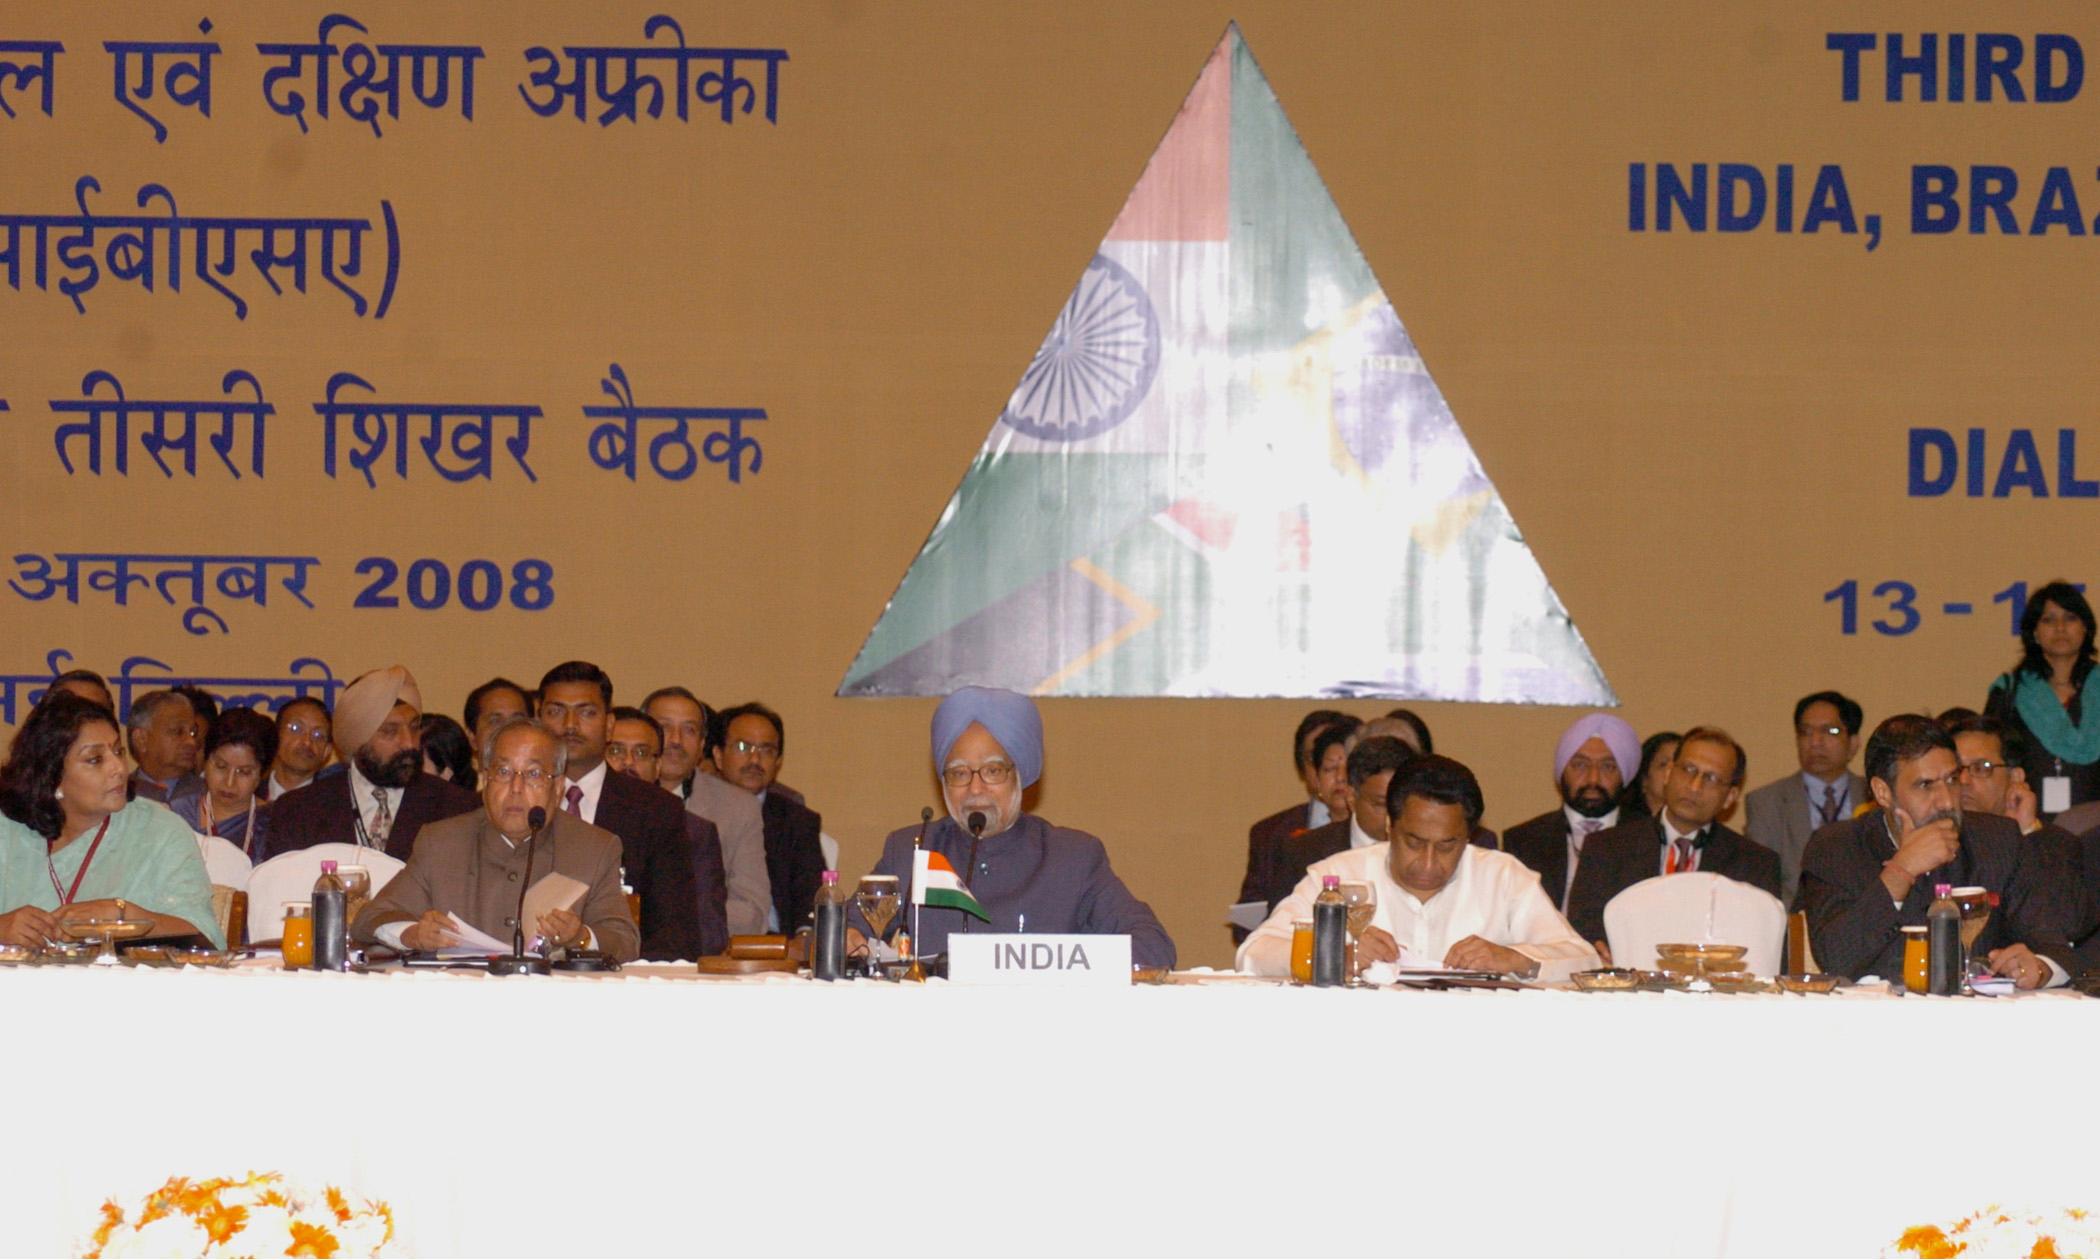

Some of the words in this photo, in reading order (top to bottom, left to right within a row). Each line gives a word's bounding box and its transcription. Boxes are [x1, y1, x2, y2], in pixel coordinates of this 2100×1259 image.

[98, 6, 231, 161] एवं
[250, 1, 486, 143] दक्षिण
[509, 3, 786, 141] अफ्रीका
[1825, 19, 2092, 114] THIRD
[3, 163, 373, 329] ईबीएसए
[1618, 148, 1866, 244] INDIA
[1898, 156, 2095, 246] BRA
[39, 364, 283, 486] तीसरी
[308, 369, 550, 491] शिखर
[576, 353, 771, 494] बैठक
[1901, 421, 2099, 501] DIAL
[4, 536, 323, 643] अक्तूबर
[345, 538, 559, 623] 2008
[987, 933, 1095, 981] INDIA